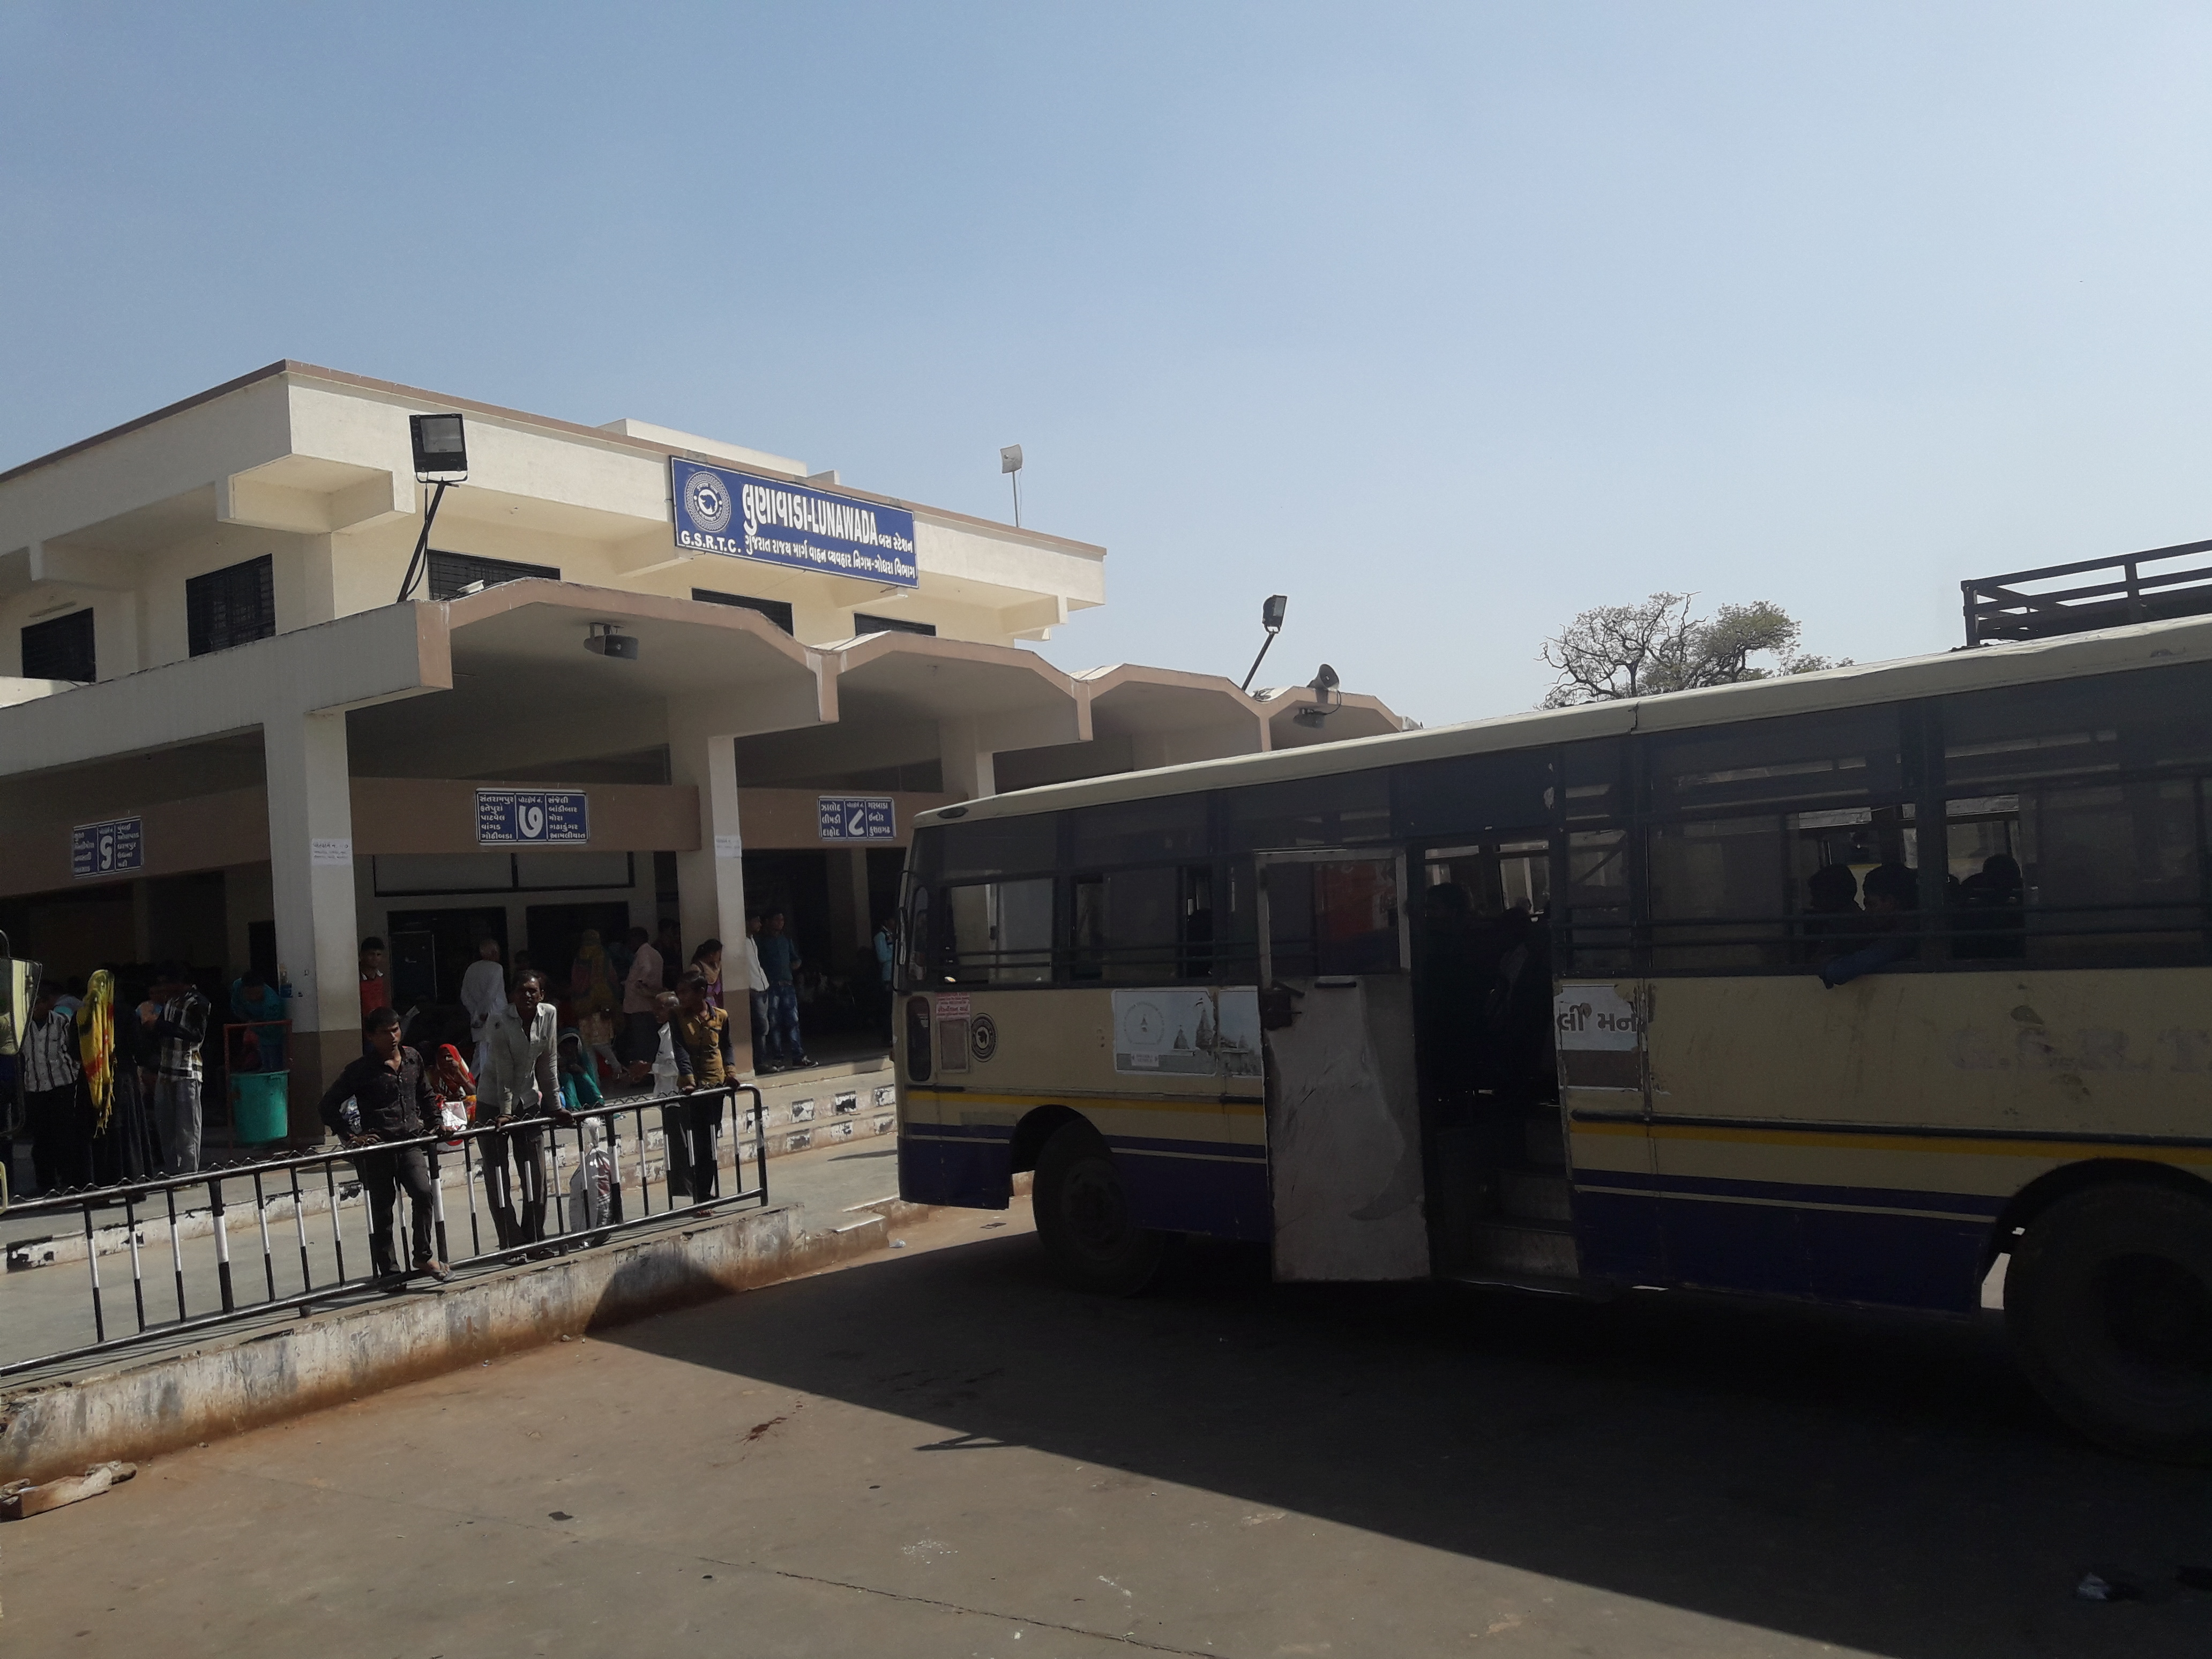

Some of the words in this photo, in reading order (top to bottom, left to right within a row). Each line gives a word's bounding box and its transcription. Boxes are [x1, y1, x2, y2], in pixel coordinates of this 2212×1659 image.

[737, 481, 879, 546] લુણાવાડા-LUNAWADA
[678, 527, 740, 555] G.S.R.T.C.
[741, 532, 772, 557] ગુજરાત
[769, 535, 793, 556] રાજય
[791, 539, 810, 558] માર્ગ
[808, 546, 827, 564] વાહન
[825, 549, 853, 569] વ્યવહાર
[850, 549, 894, 575] નિગમ-ગોધરા
[877, 532, 893, 549] બસ
[892, 530, 915, 554] સ્ટેશન
[893, 556, 916, 578] વિભાગ
[515, 802, 547, 840] ७
[846, 809, 869, 838] ૮
[96, 832, 115, 870] ૬
[1553, 1002, 1591, 1036] લી
[1593, 1012, 1639, 1036] મન